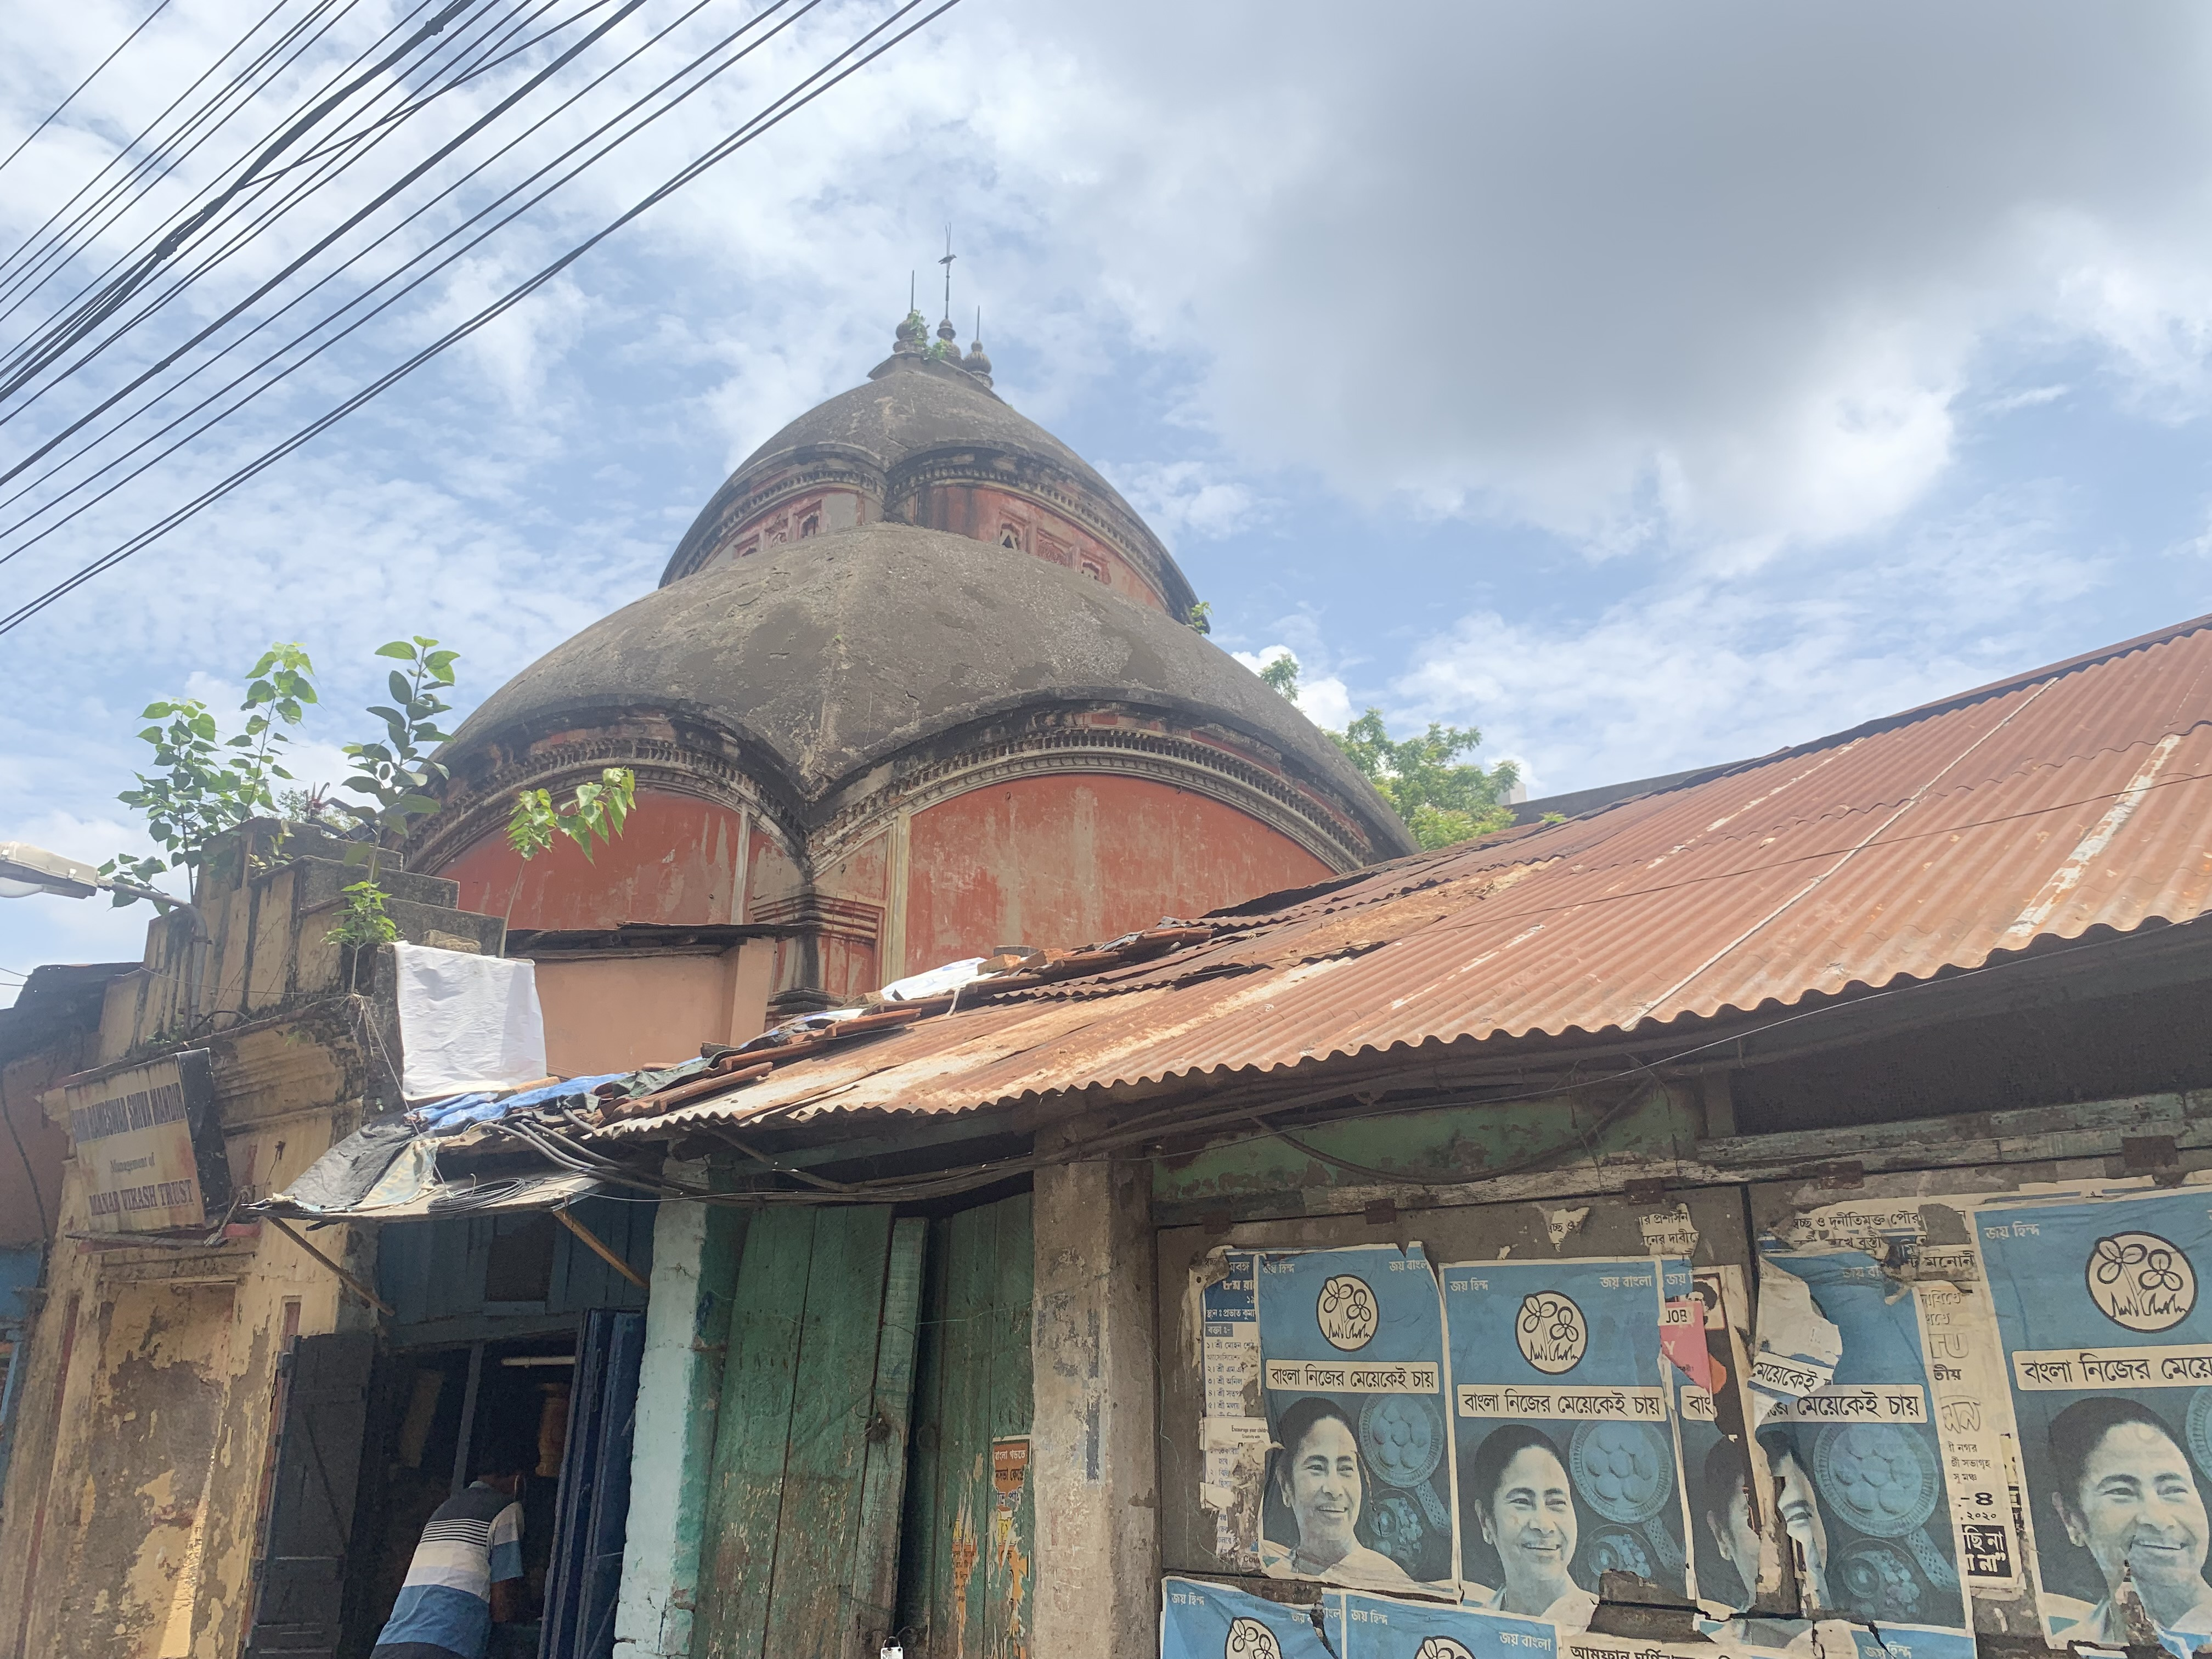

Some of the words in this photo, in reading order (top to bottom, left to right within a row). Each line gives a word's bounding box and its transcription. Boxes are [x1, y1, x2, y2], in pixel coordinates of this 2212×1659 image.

[109, 1155, 149, 1176] Management
[144, 1148, 157, 1170] of
[86, 1188, 123, 1217] MANAR
[117, 1182, 159, 1213] VIKASH
[156, 1177, 194, 1207] TRUST
[1826, 1209, 1887, 1233] দুর্নীতিমুক্ত
[1890, 1205, 1922, 1228] পৌর
[1260, 1261, 1278, 1276] জয়
[1276, 1257, 1298, 1275] হিন্দ
[1389, 1258, 1406, 1273] জয়
[1403, 1257, 1430, 1271] বাংল
[1447, 1279, 1469, 1294] জয়
[1465, 1274, 1491, 1294] হিন্দা
[1598, 1274, 1621, 1294] চায়
[1621, 1275, 1653, 1290] বাংলা
[1270, 1365, 1302, 1387] বাংলা
[1301, 1361, 1347, 1389] নিজের
[1348, 1363, 1408, 1391] মেয়েরই
[1410, 1369, 1437, 1390] চায়
[1747, 1359, 1821, 1395] মেয়েরই
[2018, 1358, 2074, 1385] বংলা
[2075, 1348, 2155, 1384] নিজের
[2159, 1354, 2212, 1383] মেয়ে
[1462, 1391, 1500, 1415] বাংলা
[1502, 1384, 1554, 1415] নিজের
[1556, 1387, 1629, 1417] মেয়েকেই
[1630, 1396, 1662, 1418] চায়
[1795, 1387, 1884, 1419] মেয়েকেই
[1884, 1395, 1921, 1419] চায়